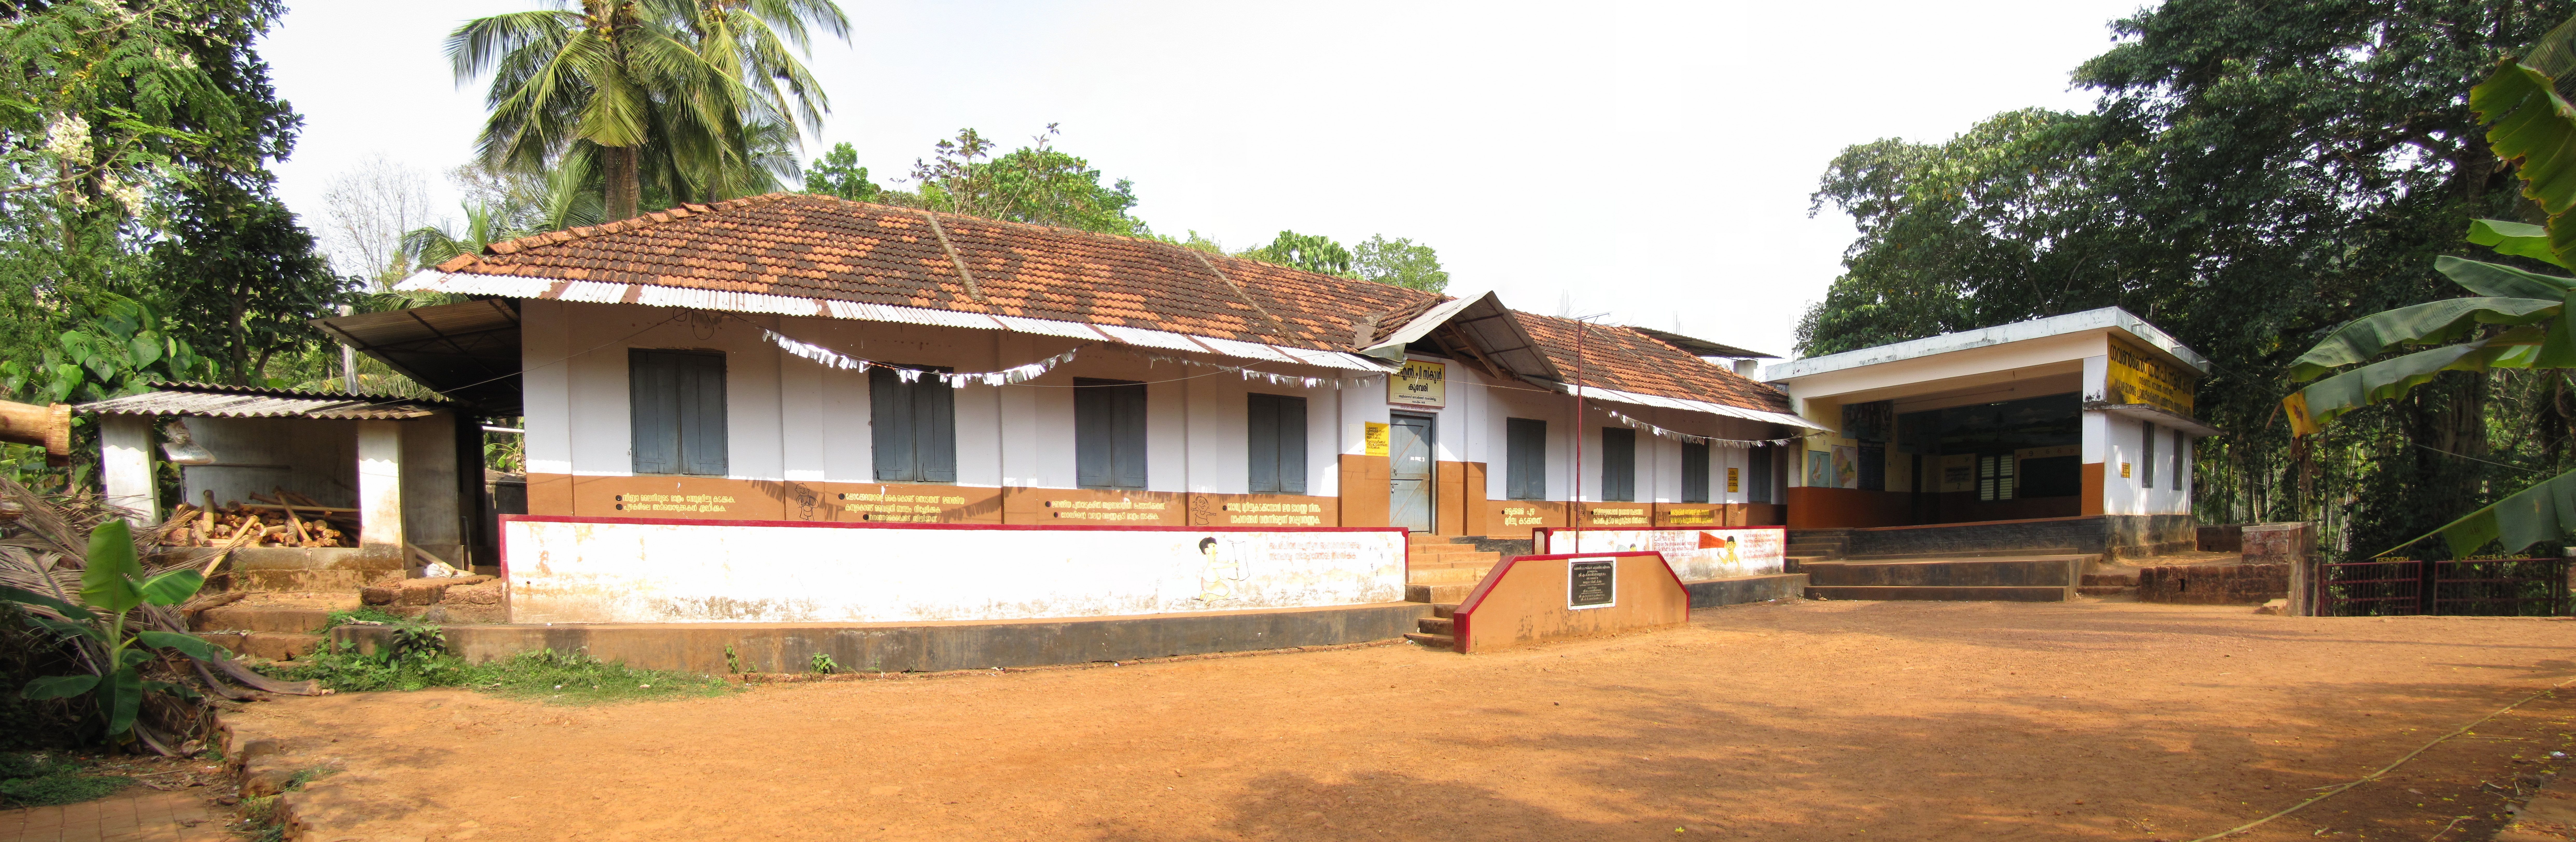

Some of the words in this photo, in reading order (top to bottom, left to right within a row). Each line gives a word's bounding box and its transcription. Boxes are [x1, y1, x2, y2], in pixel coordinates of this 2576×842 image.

[1393, 363, 1443, 384] എൽ.പിസ്‌കൂൾ
[1407, 383, 1429, 393] കൂവേരി
[1398, 393, 1413, 400] തളിപ്പറമ്പ്
[1411, 394, 1426, 401] നോർത്ത്
[1423, 396, 1438, 403] സബ്‍ജില്ല
[622, 501, 652, 513] പുഴകളിലെ
[639, 492, 670, 504] ലൈനിലൂടെ
[652, 502, 699, 513] അടിയൊഴുക്കുകൾ
[670, 493, 686, 504] ദാത്രം
[712, 494, 737, 505] കടക്കുക
[844, 501, 876, 514] കമ്പുകൊണ്ട്
[844, 491, 884, 503] ഷോക്കേറ്റയാളെ
[874, 503, 898, 514] വൈദ്വതി
[867, 513, 912, 523] നനഞ്ഞകൈകൊണ്ട്
[884, 493, 898, 504] കൈ
[895, 503, 913, 514] ബന്ധം
[895, 494, 915, 504] കൊണ്ട്
[912, 512, 938, 523] സിസച്ചടരുത്.
[913, 495, 941, 504] തൊടരുത്
[913, 502, 943, 515] വിച്ഛേദിക്കുക
[941, 494, 966, 506] ഉണങ്ങിയ
[1051, 498, 1073, 510] ഉണങ്ങിയ
[1061, 509, 1088, 520] റോഡിൻ്റെ
[1071, 499, 1103, 511] പുൽമേടുകളിൽ
[1087, 511, 1103, 521] വലതു
[1101, 511, 1127, 521] വരത്തുകൂടി
[1100, 500, 1133, 511] അഗ്രദ്ധമായിൽ
[1126, 511, 1142, 522] മാത്രം
[1140, 511, 1160, 521] നടക്കുക
[1225, 502, 1242, 514] റോഡു
[1230, 513, 1259, 525] വാഹനങ്ങൾ
[1241, 501, 1282, 513] മുറിമ്പുകടക്കുമ്പോൾ
[1259, 513, 1289, 526] വരുന്നില്ലെന്ന്
[1290, 502, 1308, 515] ഭാഗത്തു
[1288, 514, 1322, 527] ഉറപ്പുവരുത്തുക.
[1308, 500, 1322, 513] നിന്നും
[1504, 505, 1525, 517] ഒഴുക്കുള്ള
[1518, 515, 1543, 525] കടക്കരുത്
[1526, 506, 1537, 517] പൂഴ
[1591, 505, 1619, 516] ഇടിമിന്നലുമെപ്പോൾ
[1613, 515, 1633, 526] മരച്ചവട്ടിലോ
[1630, 515, 1648, 524] നിൽക്കനന്.
[1296, 540, 1320, 552] വച്ചുനിട്ടുന്ന
[1319, 540, 1363, 551] ആഹാരസാധനങ്ങളും
[1268, 550, 1294, 563] സ്‌നേഹവും
[1294, 551, 1331, 562] സ്നേഹത്തോടെ